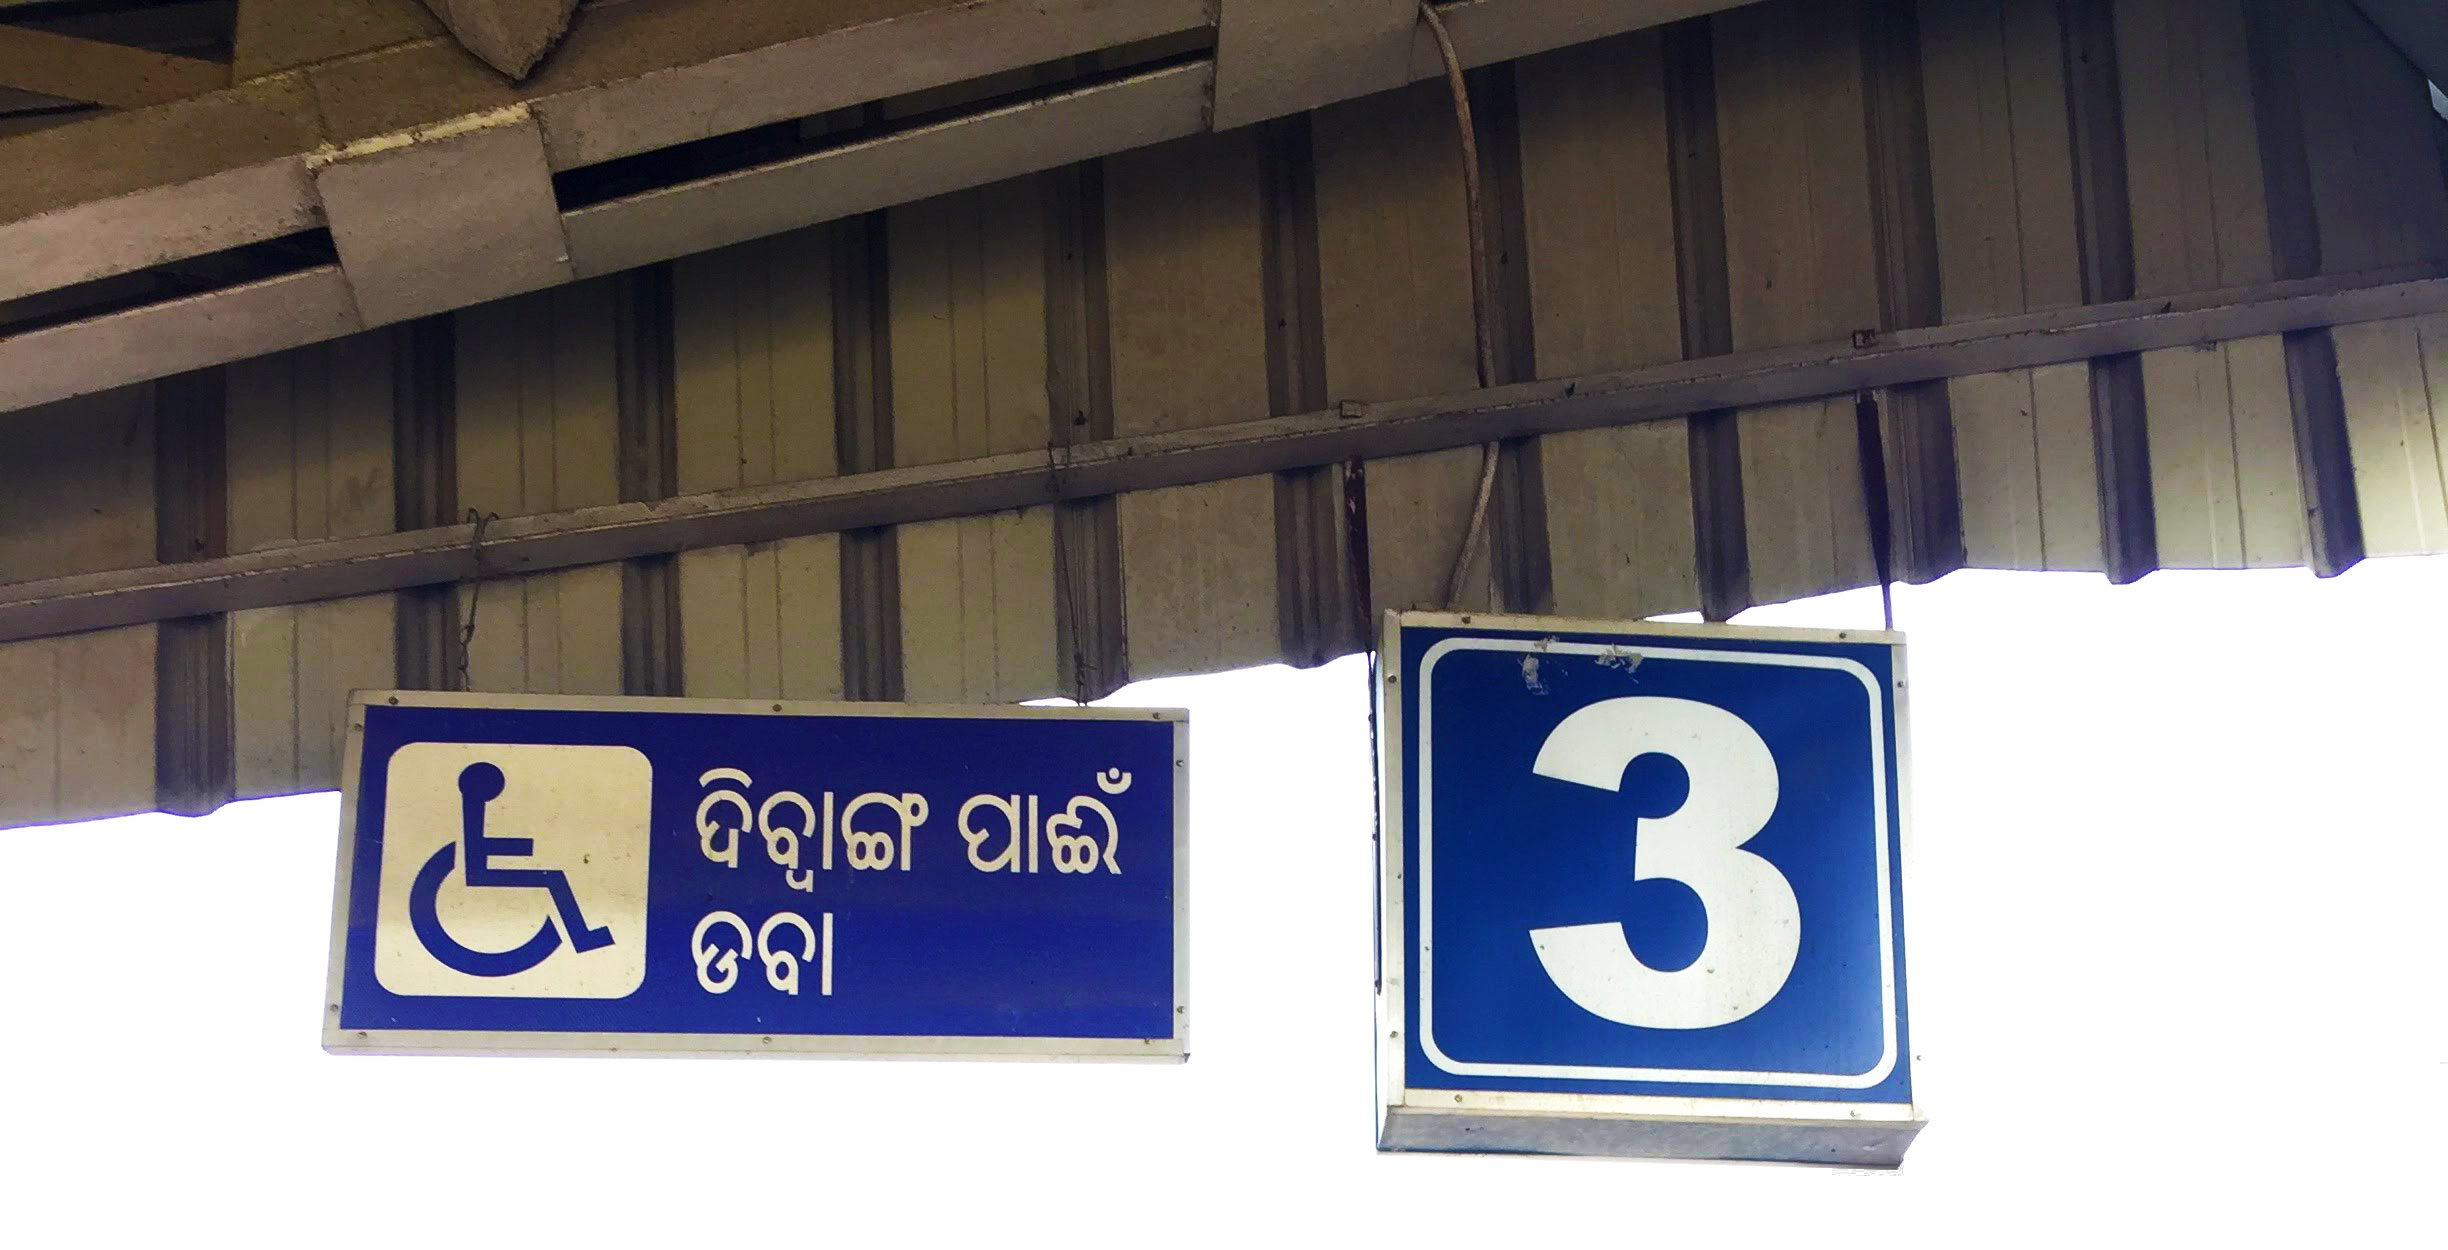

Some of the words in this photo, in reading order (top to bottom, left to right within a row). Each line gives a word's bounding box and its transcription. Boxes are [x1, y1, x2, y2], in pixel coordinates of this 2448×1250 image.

[683, 755, 944, 904] ଦିଗ୍ଧାଙ୍ଗ
[946, 759, 1144, 882] ପାଈଁ
[1515, 676, 1823, 1055] 3
[685, 900, 840, 1002] ଡବା